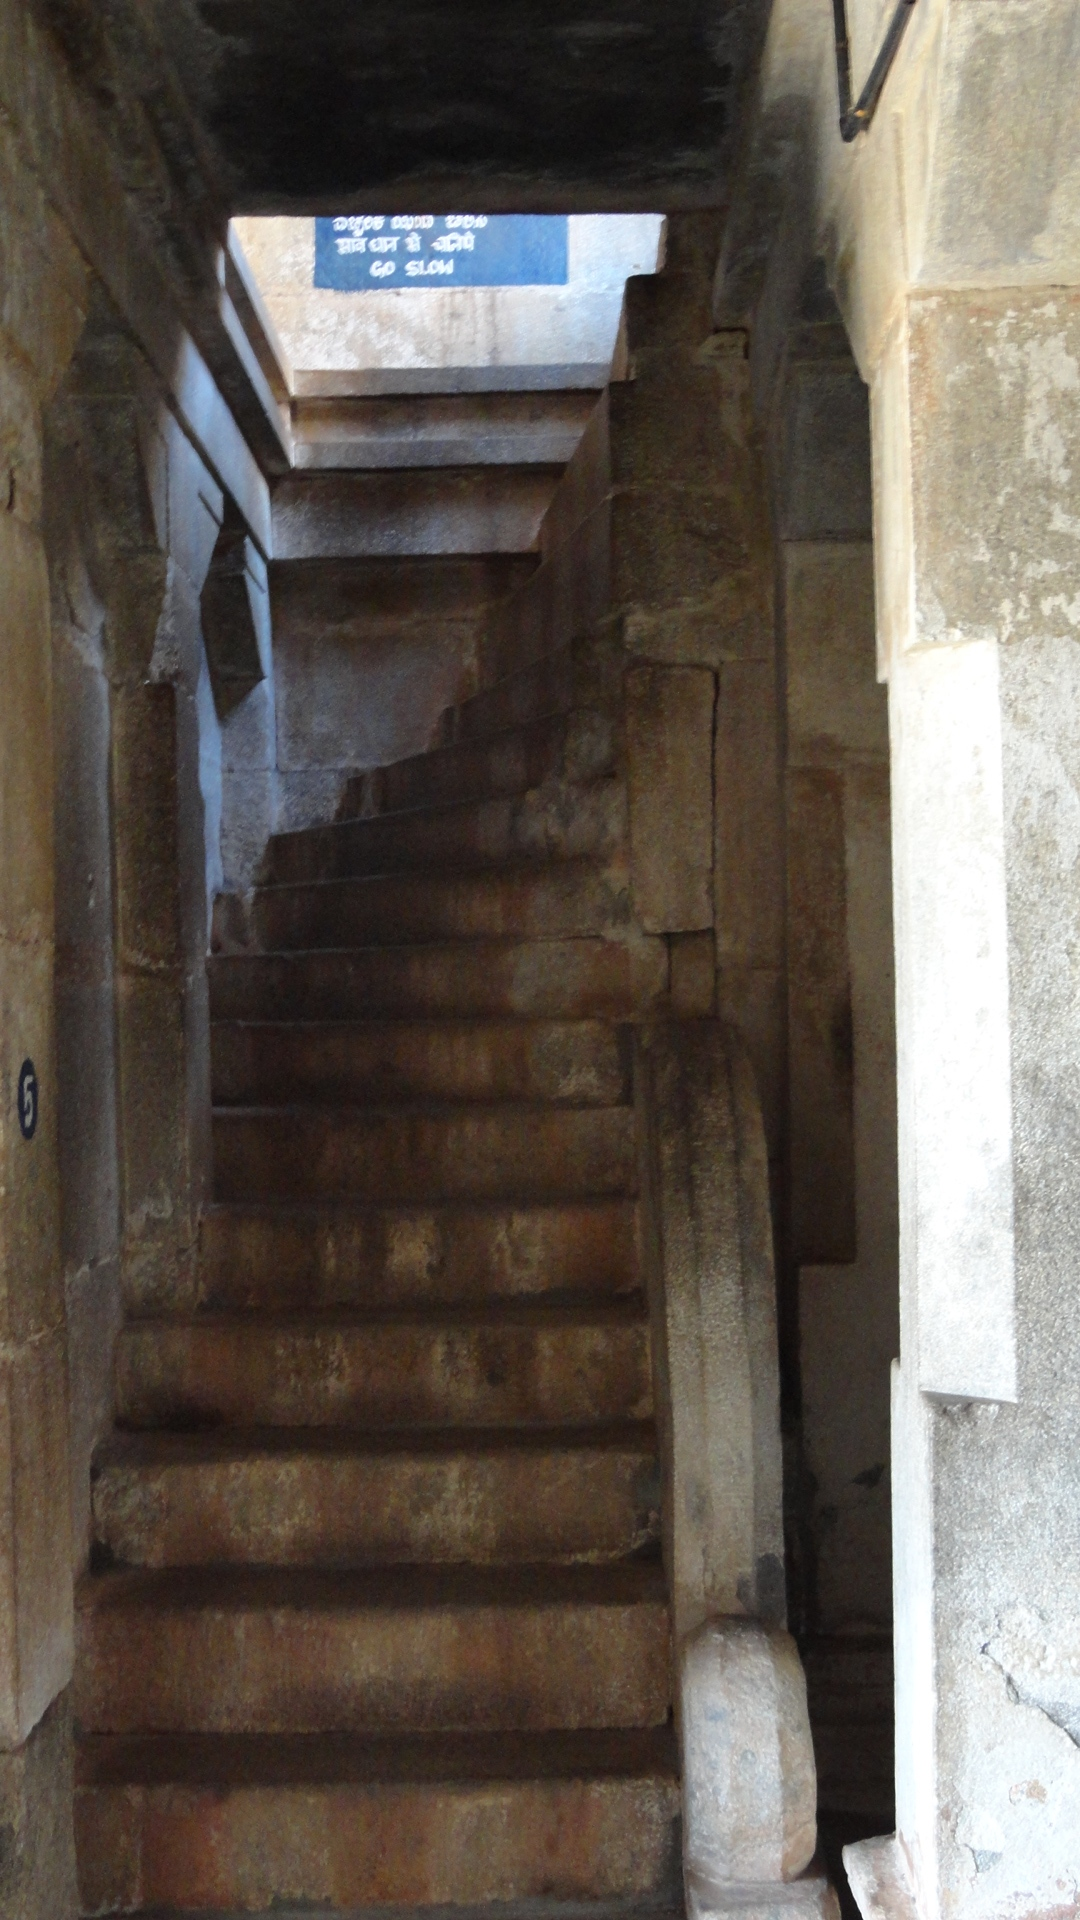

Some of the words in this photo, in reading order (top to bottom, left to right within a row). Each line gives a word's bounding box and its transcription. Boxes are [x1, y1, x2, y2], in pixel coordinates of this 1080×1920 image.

[325, 211, 391, 238] ವಿಚ್ಚಲಕ
[330, 231, 403, 259] सावधान
[402, 223, 429, 257] से
[427, 221, 481, 254] चलिये
[438, 205, 491, 235] ಚಲಿಸಿ
[361, 255, 400, 282] GO
[399, 254, 461, 280] SLOW